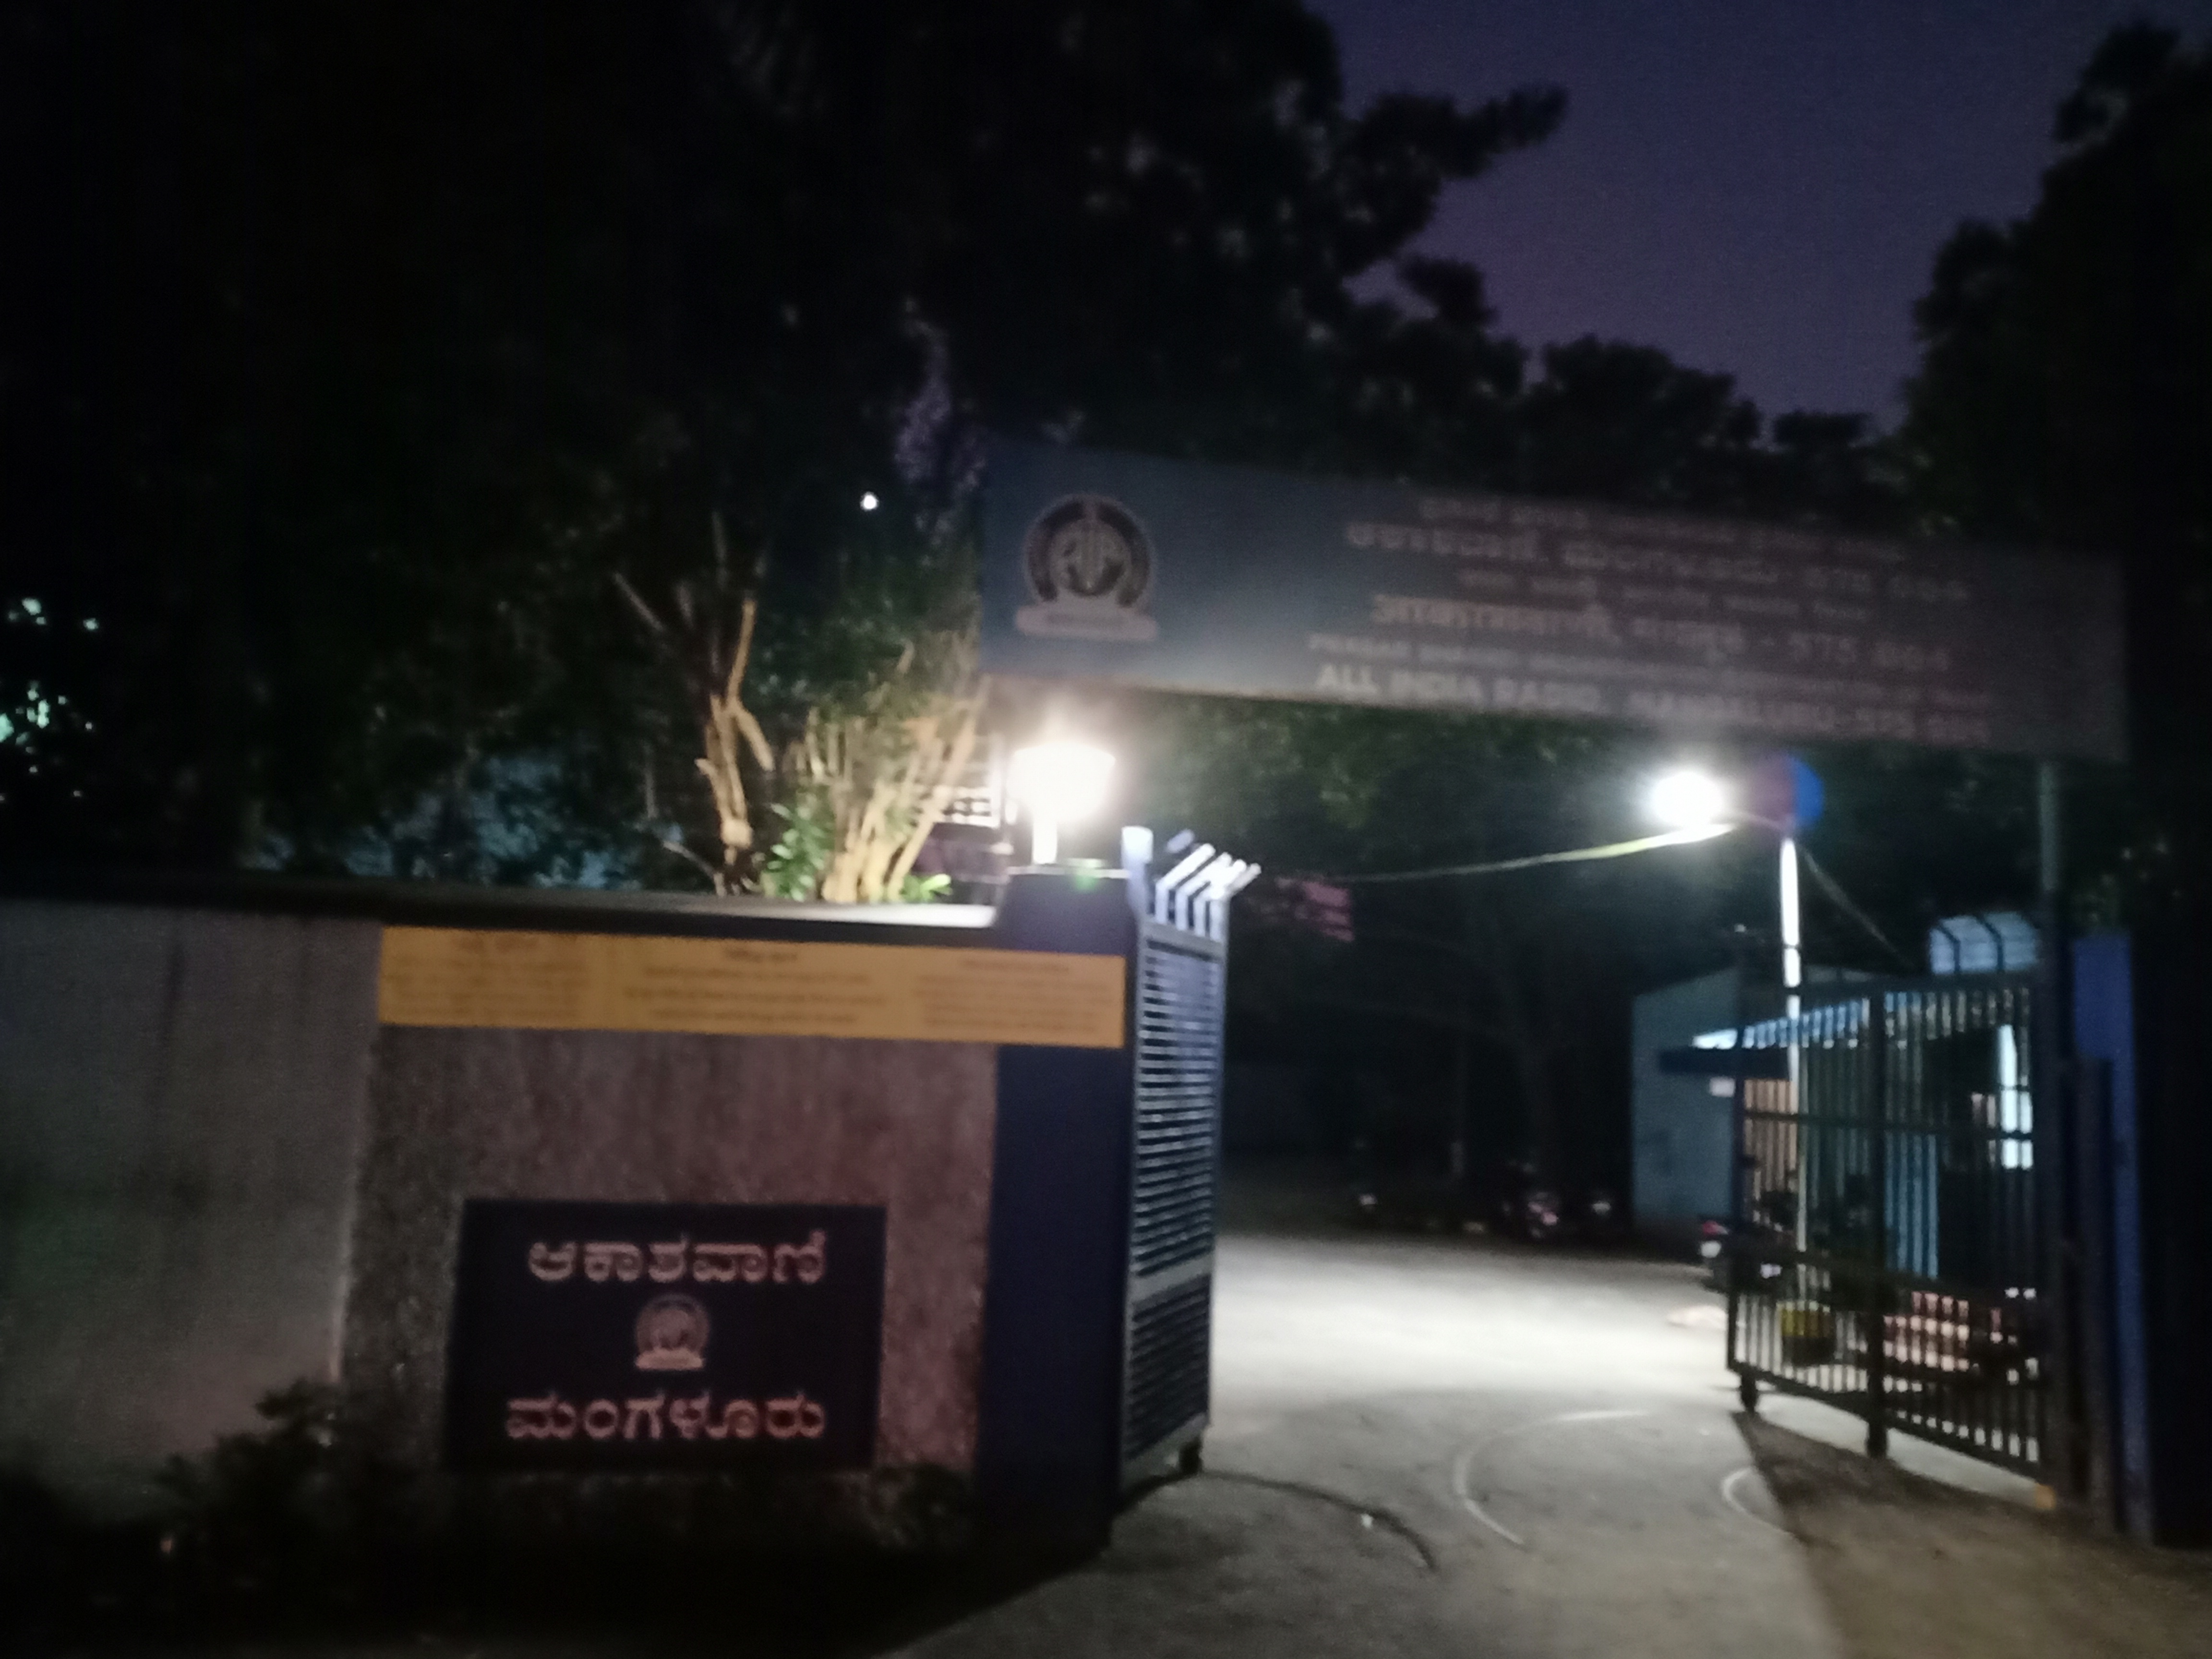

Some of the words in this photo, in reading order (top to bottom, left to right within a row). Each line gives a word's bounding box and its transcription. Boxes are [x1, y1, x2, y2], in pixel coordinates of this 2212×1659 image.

[1552, 534, 1792, 592] ಮಂಗಳೂರು
[1363, 588, 1616, 651] आकाशवाणी
[1767, 625, 1863, 676] 575
[1306, 660, 1388, 701] ALL
[1485, 671, 1610, 720] RADIO
[522, 1226, 829, 1288] ಆಕಾಶವಾಣಿ
[495, 1378, 830, 1443] ಮಂಗಳೂರು